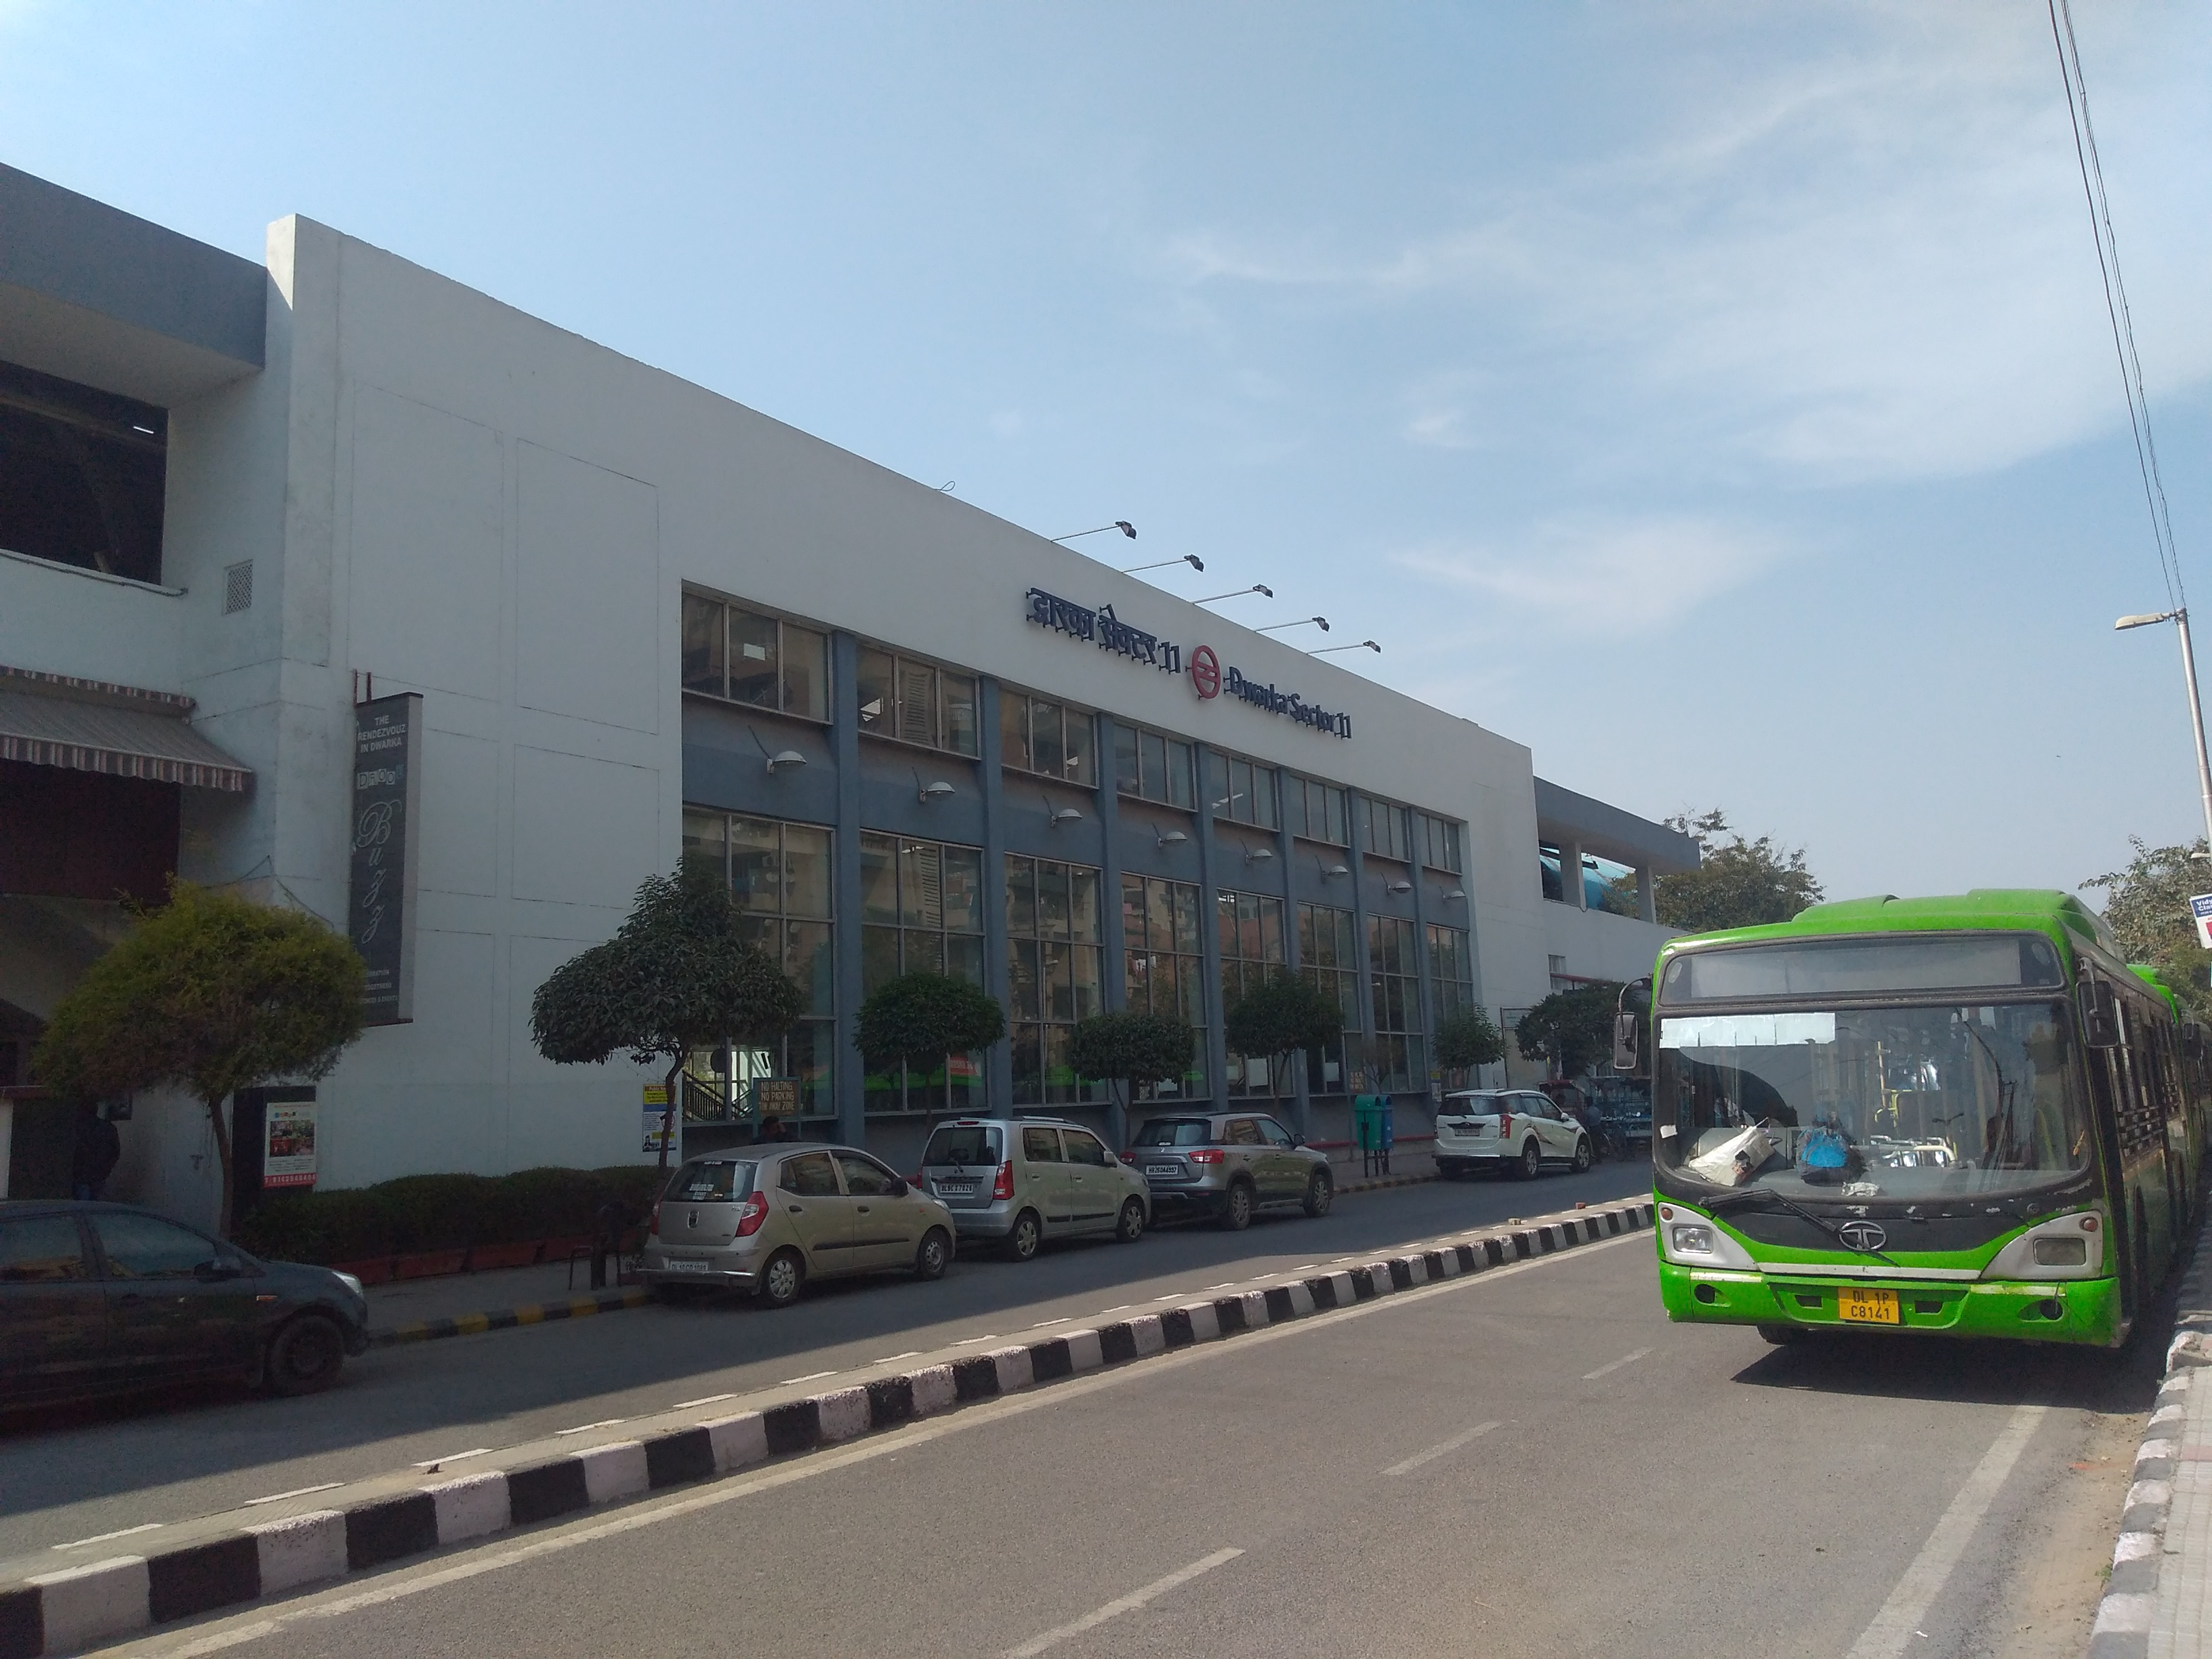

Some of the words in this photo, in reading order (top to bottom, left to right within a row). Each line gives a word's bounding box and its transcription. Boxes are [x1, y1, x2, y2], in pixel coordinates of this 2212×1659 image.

[1029, 586, 1099, 644] द्वारका
[1097, 601, 1158, 666] सेक्टर
[1158, 639, 1184, 676] 11
[1228, 665, 1289, 718] Dwarka
[1290, 691, 1352, 741] Secior11